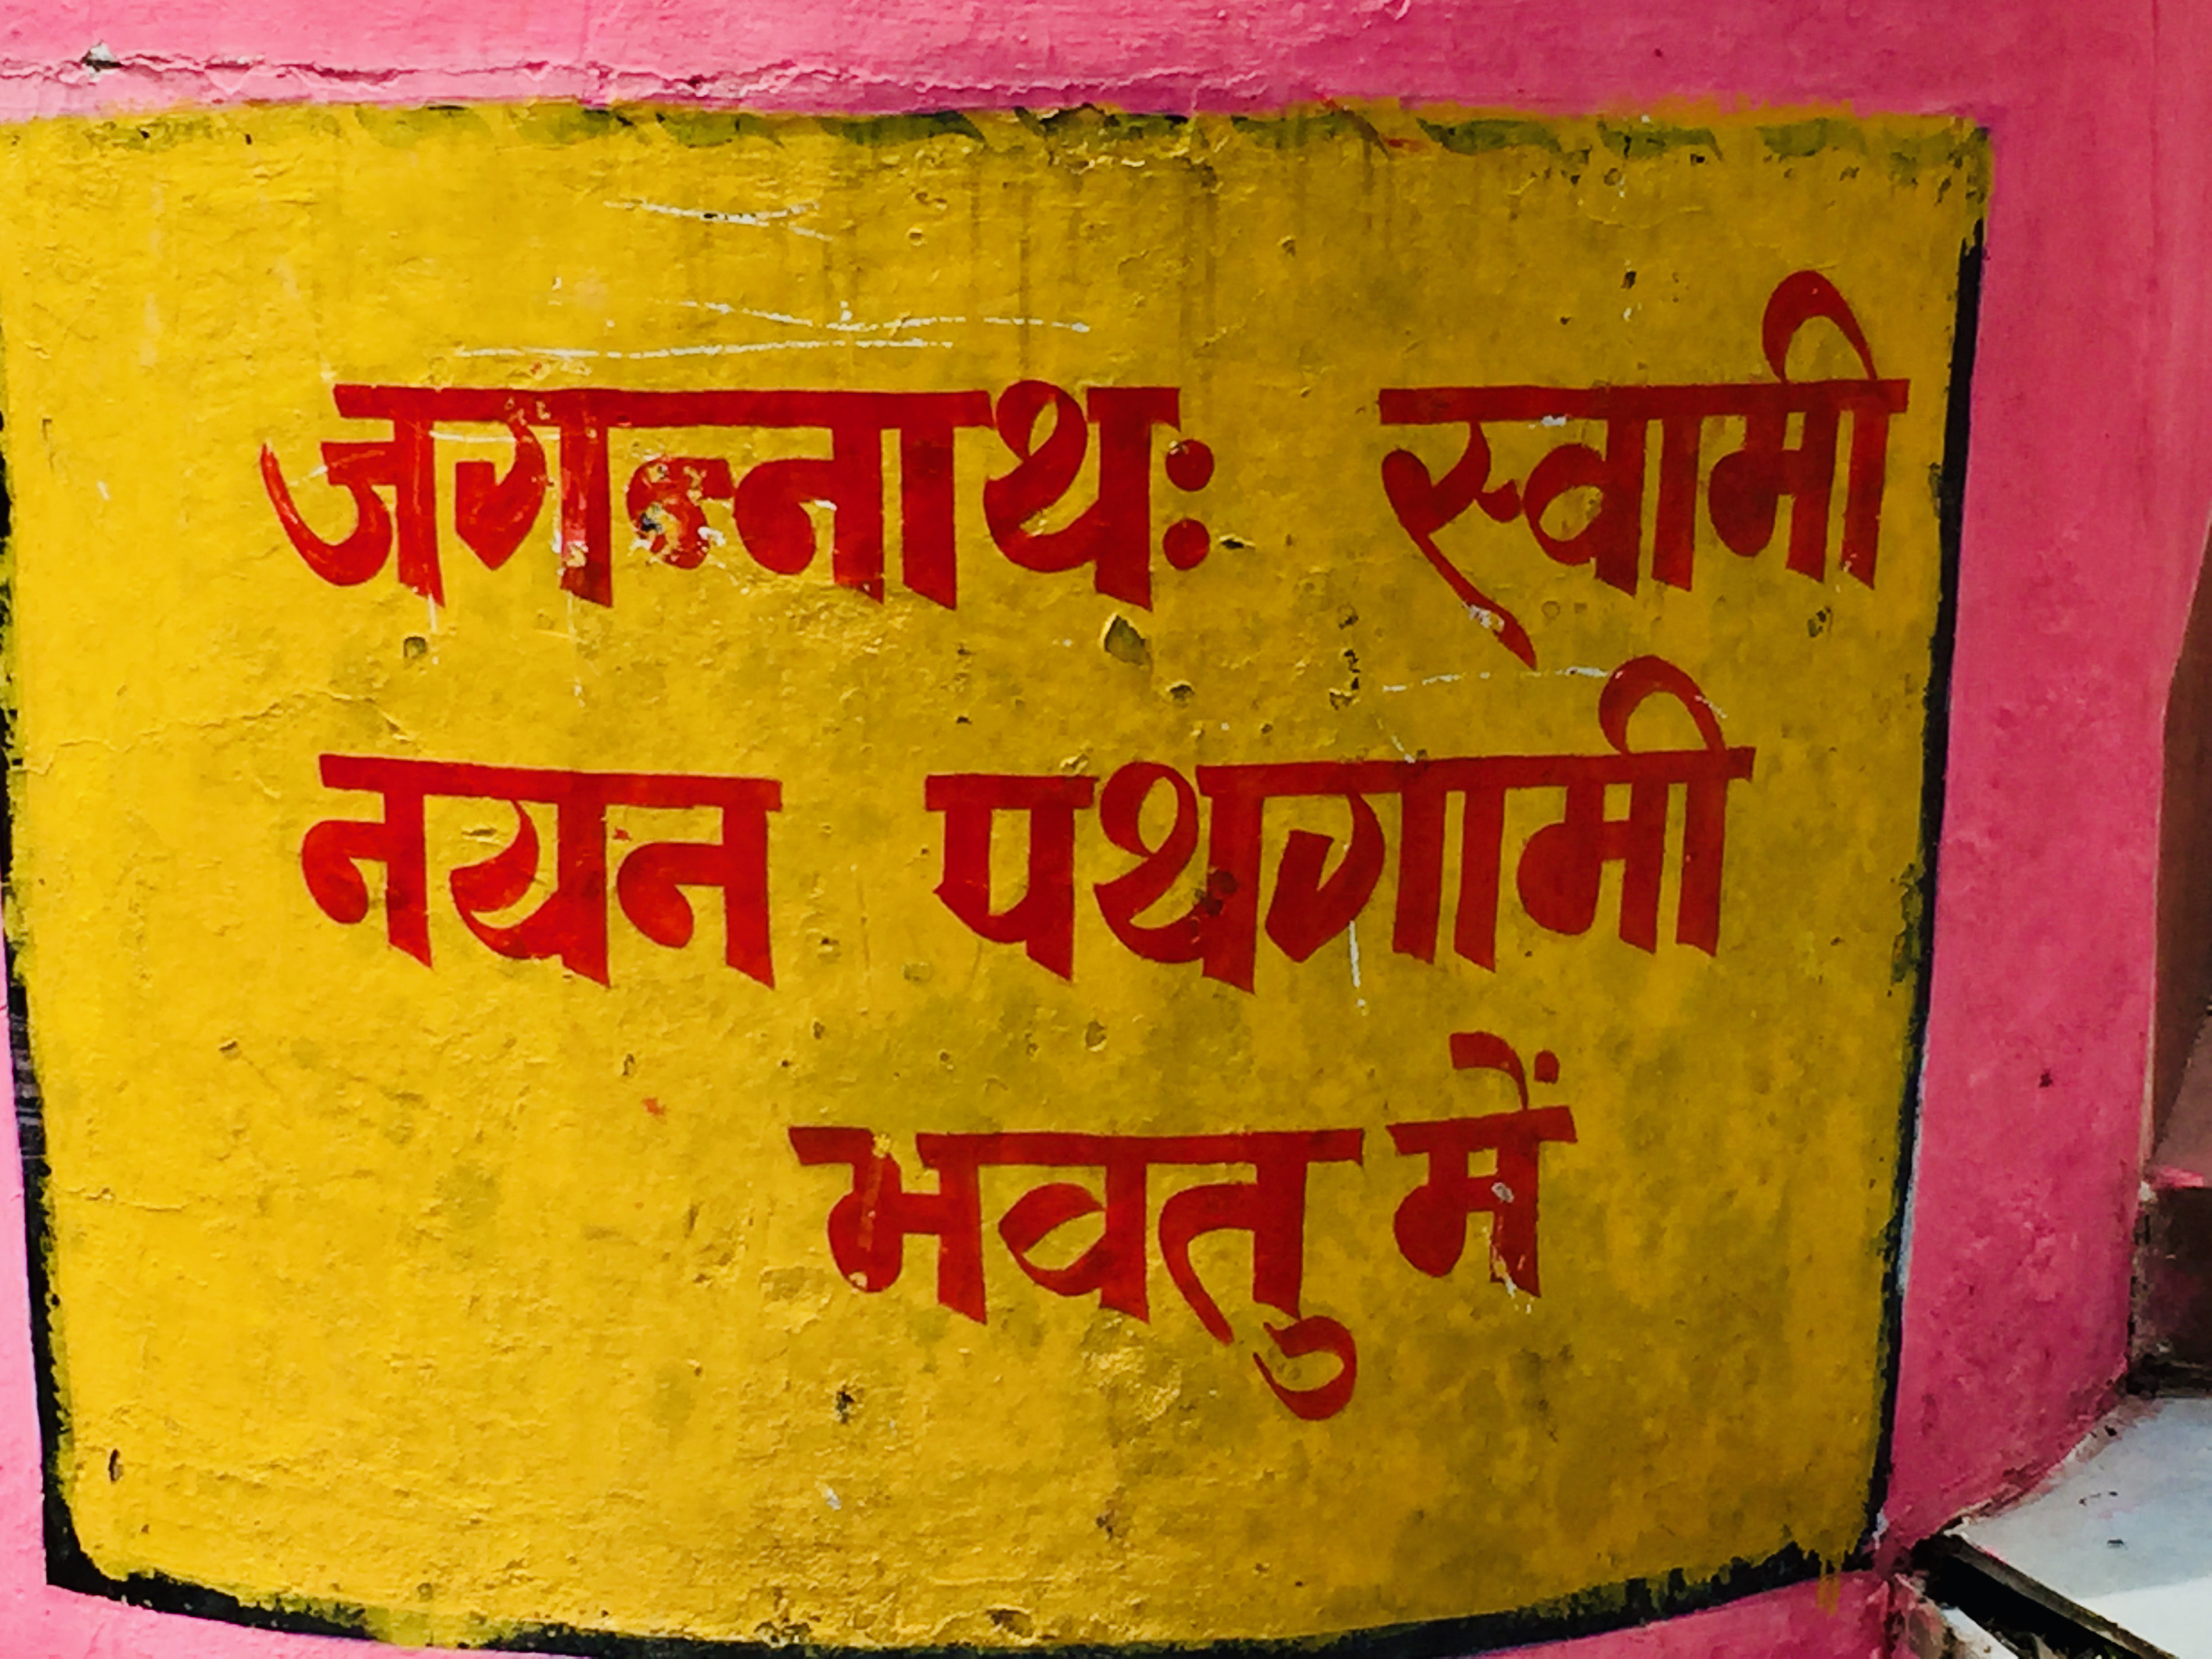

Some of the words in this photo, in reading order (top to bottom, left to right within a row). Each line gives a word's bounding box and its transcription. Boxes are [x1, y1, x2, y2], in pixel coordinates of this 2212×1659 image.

[259, 373, 1217, 617] जगन्नाथः
[1377, 262, 1914, 675] स्वामी
[294, 751, 785, 994] नयन
[919, 649, 1758, 998] पथगामी
[783, 1122, 1370, 1429] भवतु
[1385, 1027, 1576, 1303] में